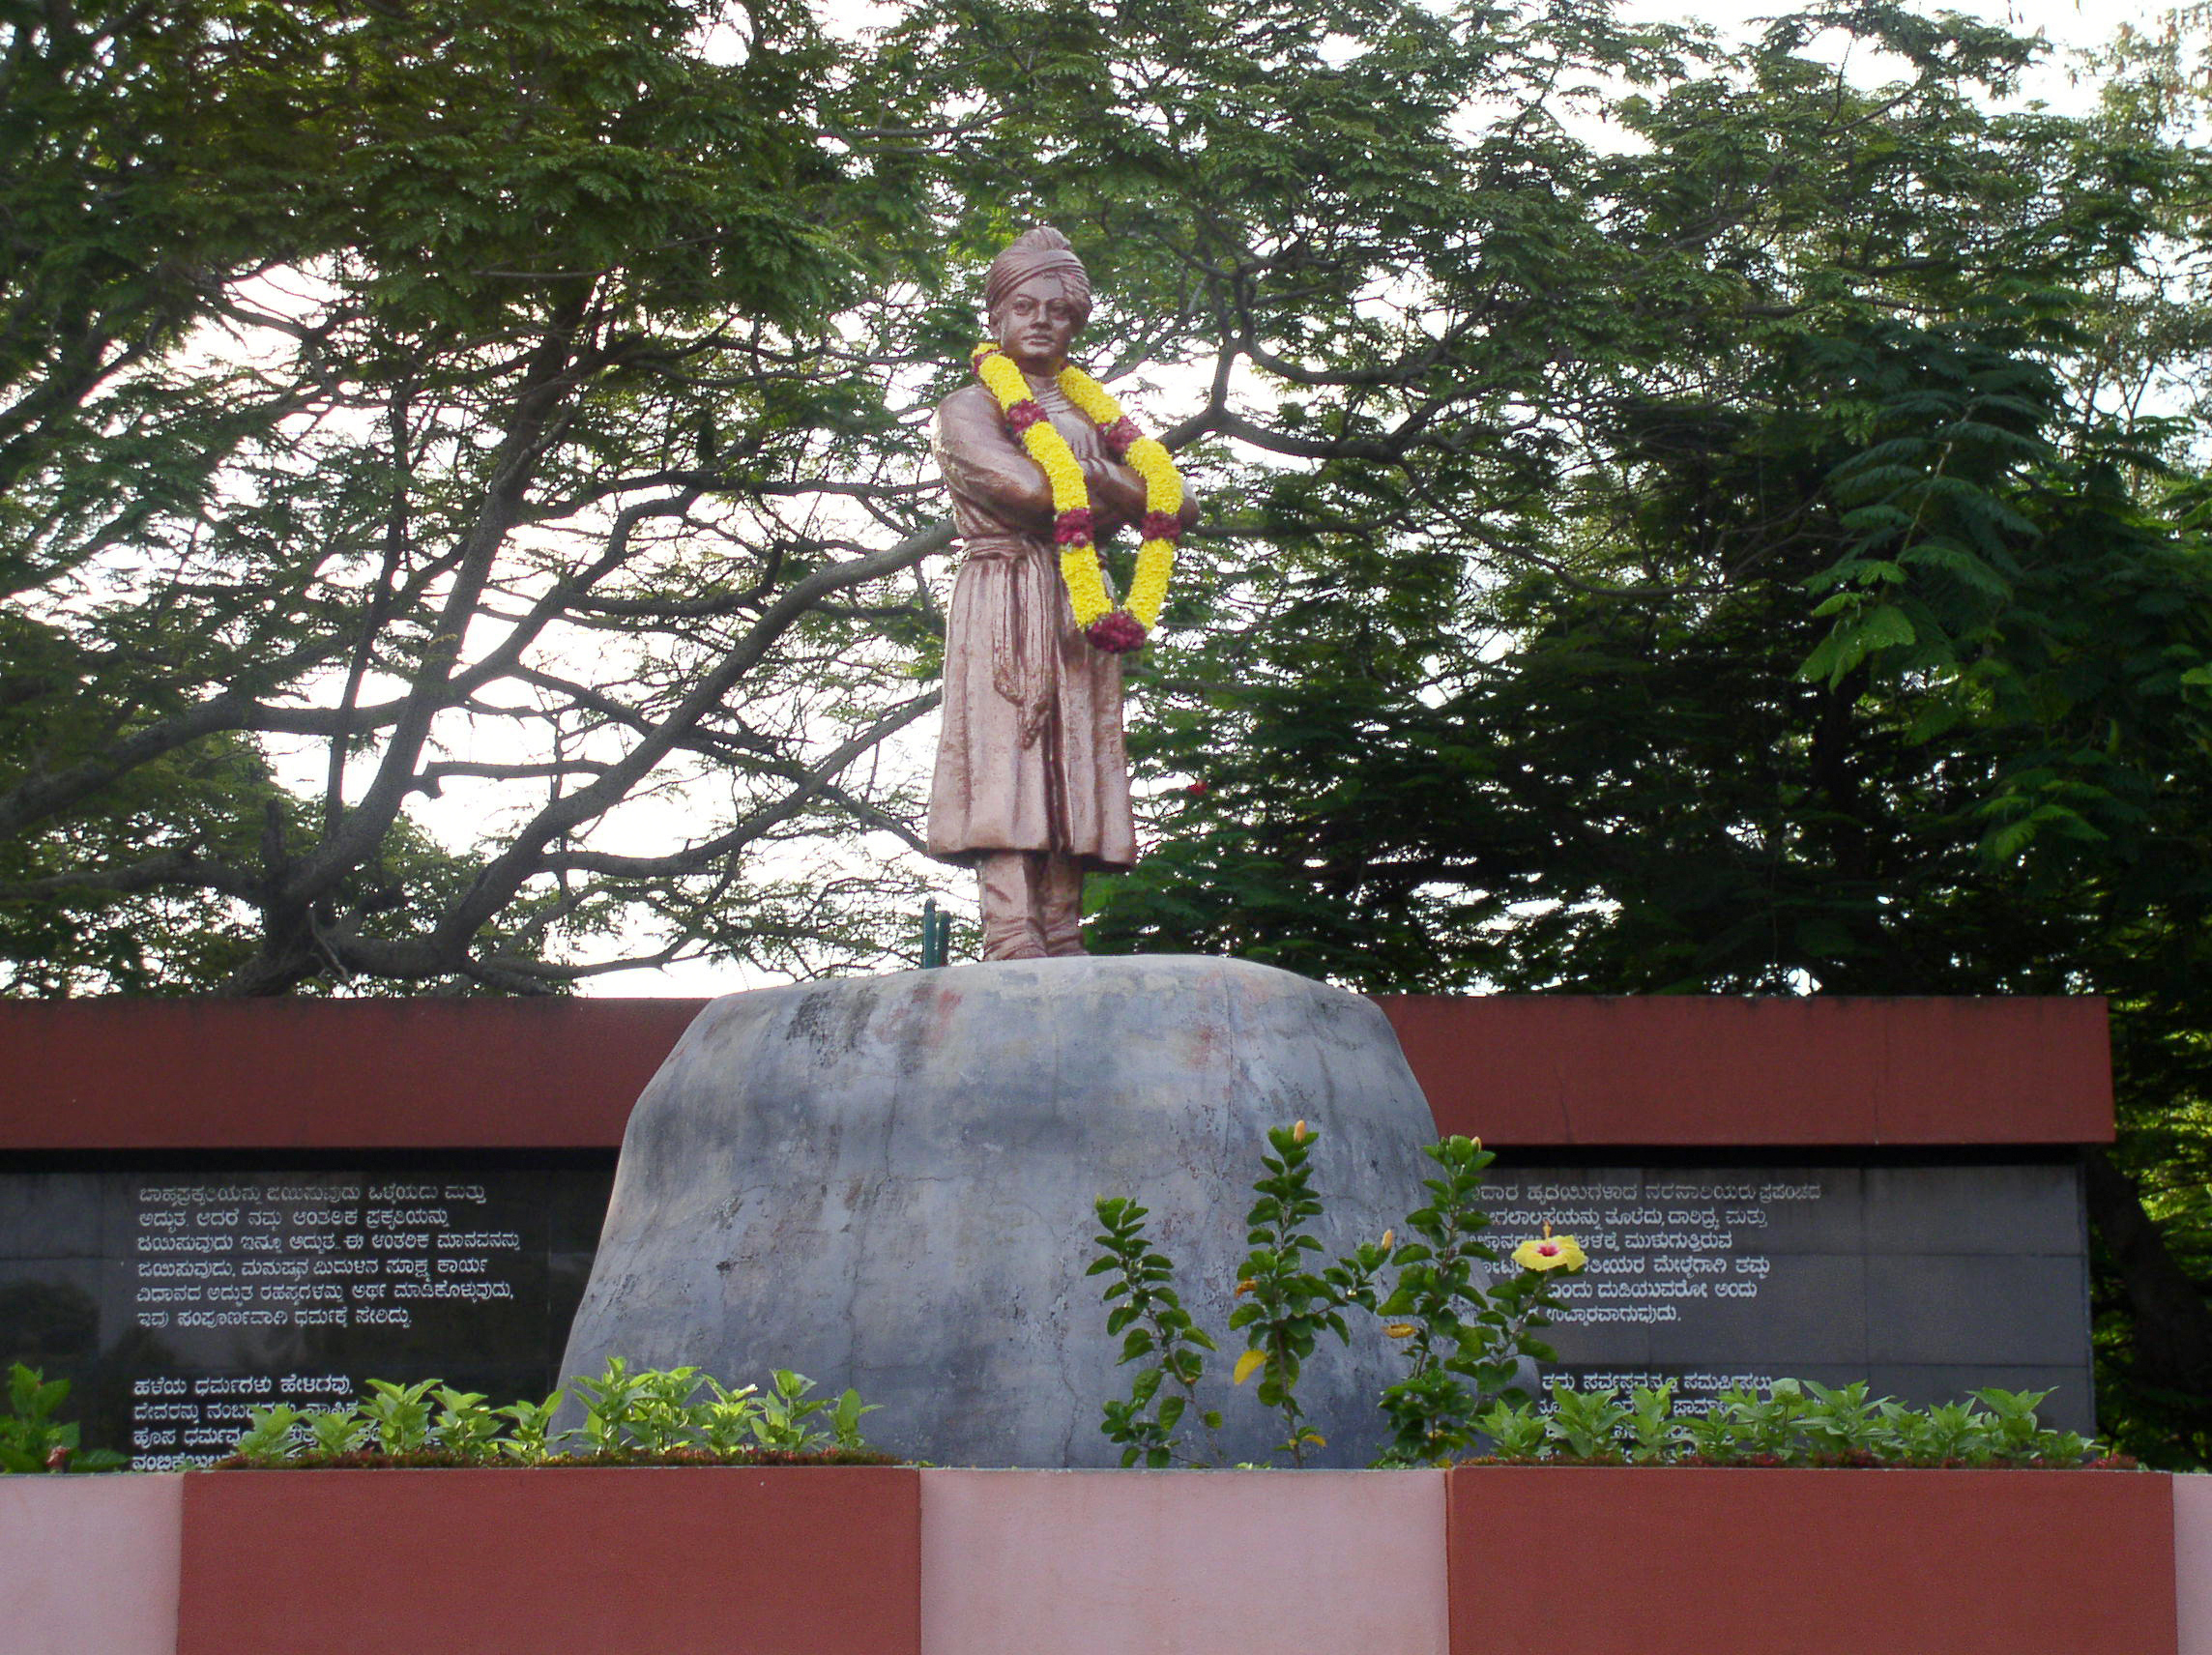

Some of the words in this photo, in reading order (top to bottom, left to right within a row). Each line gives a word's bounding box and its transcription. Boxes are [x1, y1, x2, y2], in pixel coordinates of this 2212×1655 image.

[134, 1179, 268, 1210] ಬಾಹಪ್ರಕ್ತತಿಯನ್ನು
[263, 1179, 364, 1206] ಜಯಮವುದು
[364, 1176, 443, 1209] ಒಳೆಯದು
[434, 1174, 490, 1207] ಮತ್ತು
[1465, 1179, 1523, 1207] ೪ದಾರ
[1521, 1176, 1643, 1209] ಹೃದಯಿಗಳಾದ
[1641, 1176, 1757, 1205] ನರನಾರಿಯರು
[1757, 1173, 1827, 1207] ಪ್ರಪಂಚದ
[131, 1202, 190, 1238] ಅದ್ಳುತ
[192, 1200, 245, 1234] ಆದರೆ
[246, 1198, 287, 1234] ನಮ್ಮ
[290, 1202, 364, 1231] ಆಂತರಿಕ
[359, 1199, 455, 1236] ಪ್ರಕೃತಿಯನ್ನು
[1484, 1197, 1606, 1233] ಗಲಾಲಸೆಯನ್ನು
[1598, 1199, 1668, 1231] ತೂರೆದು
[1660, 1202, 1722, 1235] ದಾರಿದ್ರ
[1722, 1204, 1770, 1231] ಮತ್ತು
[132, 1230, 237, 1260] ಜಯಿಸುವುದು
[234, 1226, 285, 1258] ಇನೂ
[285, 1227, 339, 1261] ಅದ್ಟುತ
[336, 1231, 370, 1258] ಈ
[366, 1221, 435, 1252] ಆಂತರಿಕ
[430, 1225, 526, 1256] ಮಾನವನನ್ನು
[1621, 1229, 1736, 1256] ಮುಳುಗುತ್ತಿರುವ
[131, 1277, 207, 1309] ವಿಧಾನದ
[132, 1256, 240, 1283] ಜಯಿಸುವುದು,
[198, 1273, 257, 1309] ಅದ್ಫುತ
[237, 1256, 312, 1285] ಮನುಷ್ಕವ
[254, 1275, 349, 1308] ರಹಸ್ಯಗಳನ್ನು
[306, 1254, 386, 1283] ಮಿದುಳನ
[345, 1277, 393, 1311] ಅಥ೯
[381, 1250, 436, 1284] ಸೂಕ್ಷ್ಯ
[390, 1271, 517, 1305] ಮಾಡಿಕೊಳ್ಳುವುದು,
[430, 1252, 492, 1281] ಕಾಯ೯
[1544, 1274, 1596, 1305] ಎಂದು
[1577, 1252, 1650, 1279] ನೀಯರ
[1593, 1269, 1713, 1304] ಮಡಿಯುವರೋ
[1647, 1246, 1730, 1285] ಮೇಲೆಗಾಗಿ
[1704, 1279, 1761, 1302] ಅಂದು
[1731, 1245, 1778, 1282] ತಮ್ರ
[127, 1307, 174, 1335] ಇವು
[171, 1304, 291, 1333] ಸಂಪೂರ್ಣವಾಗಿ
[287, 1300, 353, 1332] ಧಮ೯ಕ್ಕೆ
[349, 1298, 419, 1334] ಸೇಲದ್ಟು
[1540, 1300, 1684, 1329] ಉದ್ದಾರವಾಗುವುದು
[129, 1365, 196, 1402] ಹಳೆಯ
[190, 1372, 275, 1399] ಧರ್ಮಗಳು
[274, 1364, 357, 1401] ಹೇಳಿದವು.
[129, 1397, 205, 1430] ದೇವರನ್ನ
[128, 1420, 178, 1454] ಹೊಸ
[176, 1422, 247, 1454] ಧರ್ಮವು